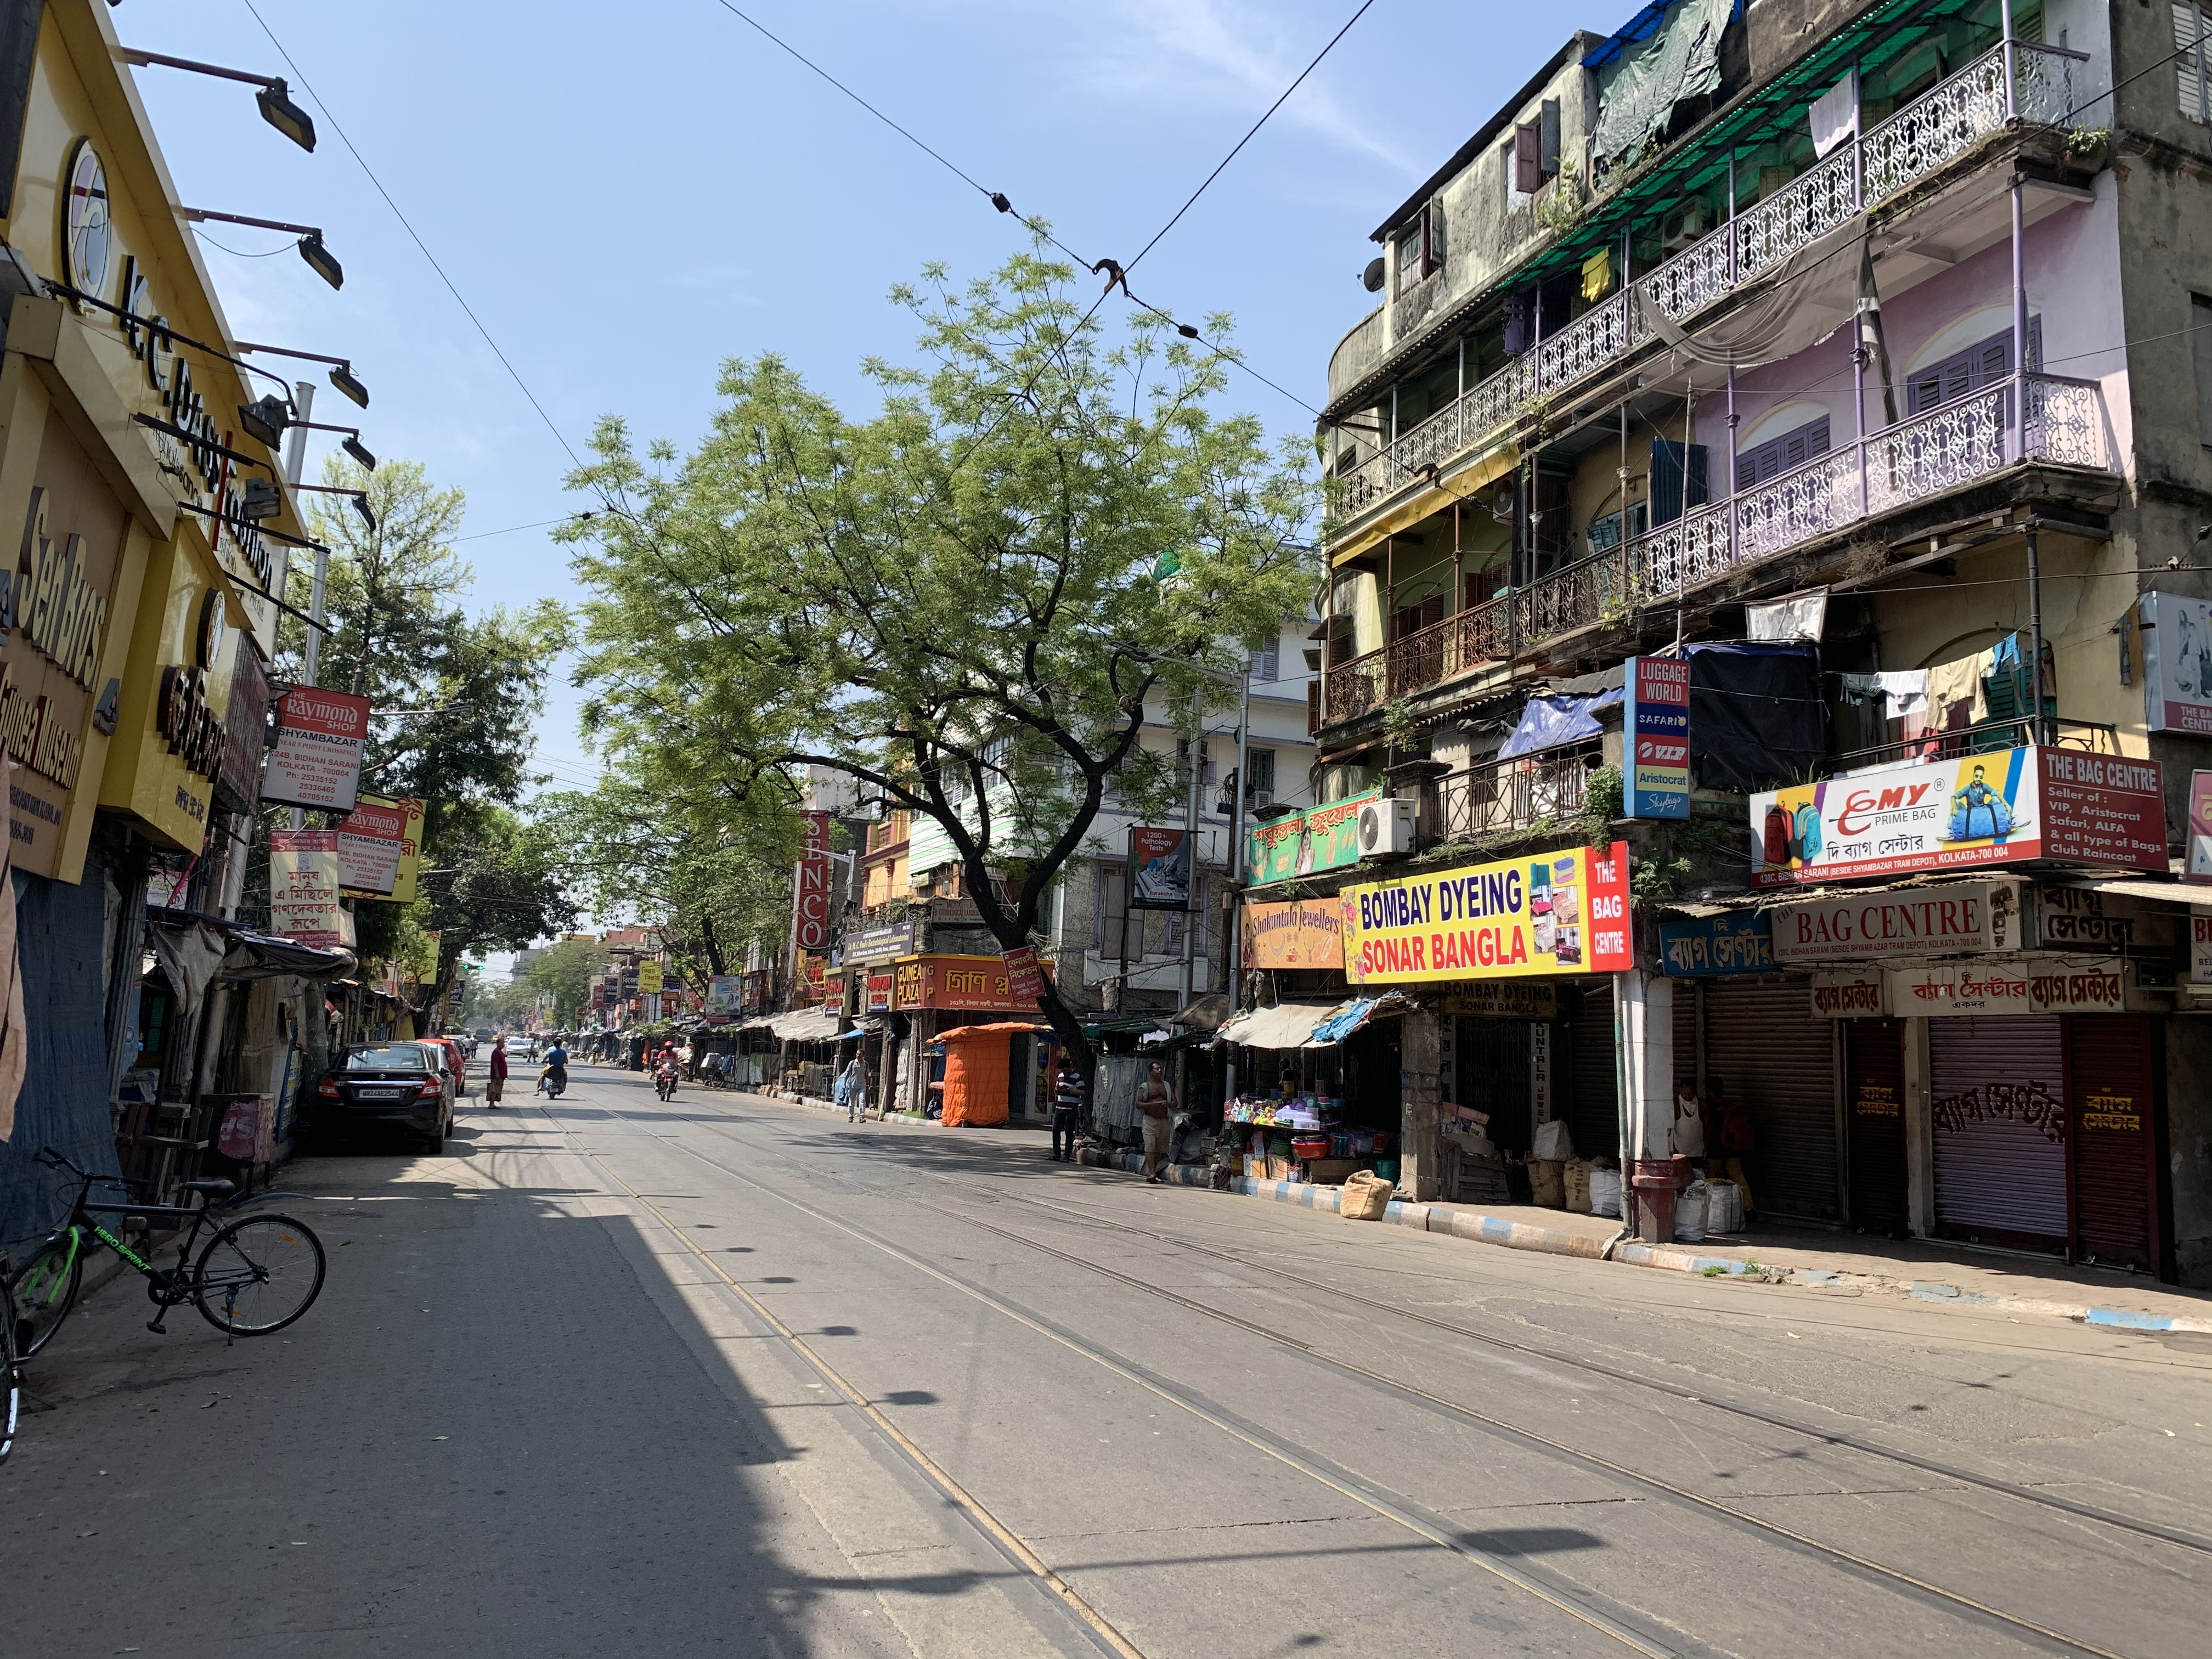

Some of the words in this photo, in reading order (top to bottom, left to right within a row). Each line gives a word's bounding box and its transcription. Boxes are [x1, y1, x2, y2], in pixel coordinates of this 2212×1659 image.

[3, 476, 111, 699] SenBros
[1637, 653, 1692, 687] LUGGAGE
[1640, 679, 1687, 708] WORLD
[272, 748, 291, 764] 24B,
[275, 737, 298, 750] NEAR
[276, 757, 317, 774] KOLKATA
[285, 868, 322, 888] মানুষ
[292, 750, 328, 766] BIDHAN
[299, 740, 323, 753] POINT
[284, 770, 340, 788] Ph:25335152
[277, 725, 359, 749] SHYAMBAZAR
[287, 697, 362, 729] Raymond
[318, 765, 352, 780] 700004
[320, 741, 355, 760] CROSSING
[321, 716, 358, 735] SHOP
[325, 758, 359, 772] SARANI
[338, 855, 368, 868] KOLKATA
[350, 850, 379, 862] BIDHAN
[337, 830, 402, 849] SHYAMBAZAR
[343, 812, 402, 837] Raymond SHOP
[375, 827, 399, 841] SHOP
[374, 854, 401, 866] SARAN
[1137, 836, 1175, 850] Pathology
[1145, 841, 1166, 854] Tests
[1145, 830, 1171, 842] 1200+
[1251, 812, 1307, 856] শকুন্তলা
[1307, 791, 1374, 839] জুয়েল
[1590, 854, 1620, 887] THE
[1635, 706, 1680, 730] SAFARI
[1635, 767, 1688, 787] Aristocrat
[1649, 737, 1691, 768] V.I.P.
[1773, 866, 1807, 884] BIBHAN
[1797, 860, 1834, 884] N SARANI
[1828, 860, 1859, 878] (BESIDES
[1818, 828, 1876, 861] দিব্যাগ
[1850, 856, 1897, 878] SHYAMBAZAR
[1839, 777, 1940, 843] EMY PRIME
[1871, 803, 1911, 827] PRIME
[1888, 854, 1914, 873] TRAM
[1876, 828, 1928, 859] সেন্টার
[1906, 851, 1936, 871] DEPOT),
[1909, 799, 1940, 823] BAG
[1933, 842, 2014, 867] KOLKATA-700004
[2042, 826, 2062, 844] &
[2040, 748, 2078, 785] THE
[2041, 792, 2080, 819] VIP,
[2041, 776, 2089, 803] Seller
[2047, 838, 2084, 861] Club
[2042, 812, 2092, 831] Safari,
[2058, 828, 2083, 848] all
[2069, 747, 2109, 789] E BAG
[2074, 823, 2115, 850] type
[2085, 790, 2107, 811] of
[2083, 819, 2128, 842] ALFA
[2078, 800, 2142, 826] Aristocrat
[2080, 840, 2140, 864] Raincoat
[2109, 834, 2133, 852] of
[2101, 751, 2160, 799] CENTRE
[2126, 838, 2165, 859] Bags
[270, 885, 287, 902] এ্র
[268, 899, 338, 918] গণদেবতার
[284, 910, 322, 934] রূপে
[284, 878, 335, 904] মিছিলে
[1246, 900, 1303, 941] Shakuntala
[1296, 900, 1345, 936] Jewellers
[1357, 879, 1437, 935] BOMBAY
[1427, 864, 1525, 927] DYEING
[1589, 887, 1625, 924] BAG
[1788, 904, 1858, 951] BAG
[1854, 893, 1984, 943] CENTRE
[2040, 879, 2109, 916] ব্যাগ
[2038, 906, 2137, 951] সেন্টার
[893, 956, 924, 986] GUINEA
[895, 981, 922, 1004] PLAZA
[945, 996, 966, 1009] ১০১লি,
[940, 963, 992, 997] গিণি
[963, 995, 982, 1009] বিধান
[977, 995, 995, 1010] সরণী,
[989, 999, 1013, 1011] কলকাতা
[1002, 950, 1037, 971] বেনারসী
[1006, 963, 1041, 981] নিকেতন
[1357, 932, 1431, 979] SONAR
[1423, 917, 1534, 976] BANGLA
[1590, 927, 1629, 959] CENTRE
[1659, 924, 1714, 979] ব্যাগ
[1709, 919, 1778, 973] সেণ্টার
[1787, 941, 1812, 957] BIDHAN
[1805, 943, 1834, 956] SARANI(E
[1829, 940, 1854, 956] BESIDES
[1846, 934, 1892, 957] SHYAMBAZART
[1885, 934, 1927, 955] TRAMDEPOT)
[1908, 974, 1957, 1001] ব্যাগ
[1927, 936, 1960, 951] KOLKATA-
[1946, 995, 1987, 1014] একদর
[1955, 933, 1986, 952] -700004
[1953, 963, 2032, 1001] সেন্টার
[2021, 960, 2129, 1013] ব্যাগ সেন্টার
[1856, 1085, 1895, 1102] ব্যাগ
[1850, 1093, 1904, 1124] সেন্টার
[1927, 1070, 2078, 1149] ব্যাগ সেন্টার
[2081, 1089, 2137, 1114] ব্যাগ
[2079, 1108, 2145, 1136] সেন্টার